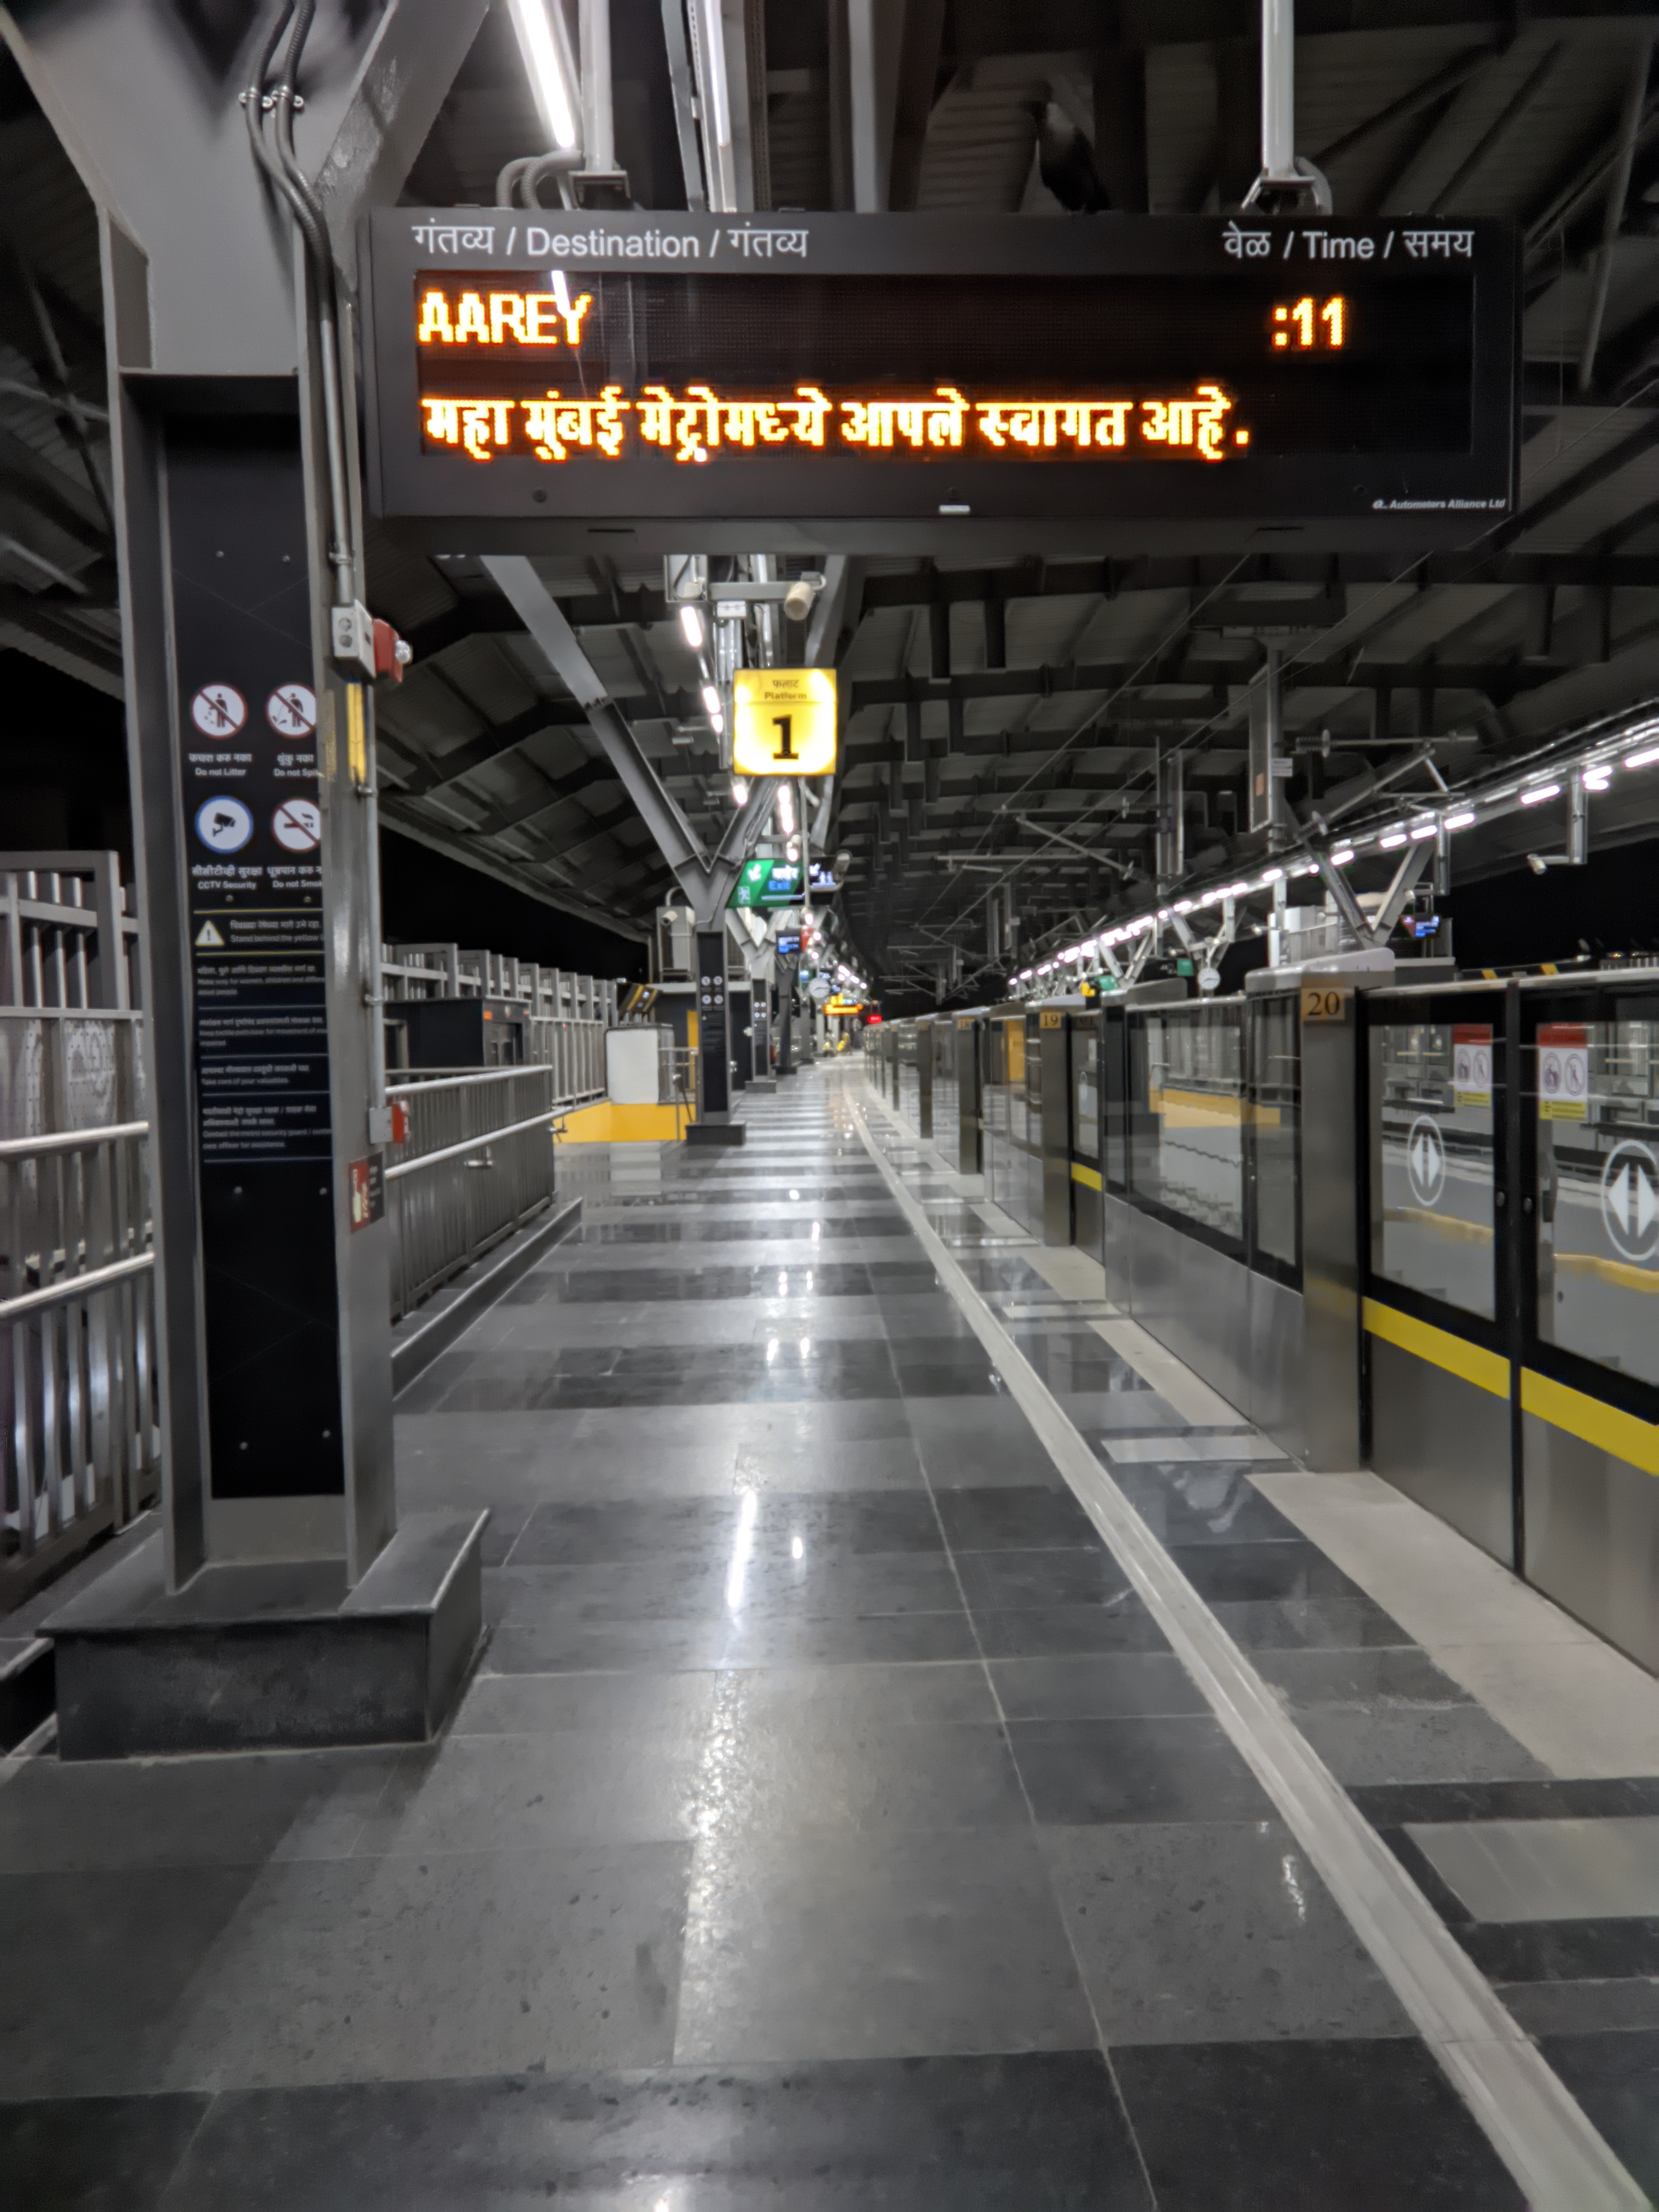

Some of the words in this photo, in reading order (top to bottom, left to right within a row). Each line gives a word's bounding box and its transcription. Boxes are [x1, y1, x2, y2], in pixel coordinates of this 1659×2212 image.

[406, 216, 498, 261] गंतव्य
[516, 223, 703, 263] Destination
[722, 215, 812, 263] गंतव्य
[1215, 221, 1278, 261] वेळ
[1280, 229, 1377, 261] /Time
[1391, 223, 1479, 261] समय
[413, 274, 595, 352] AAREY
[418, 393, 526, 473] महा
[519, 378, 635, 470] मुंबई
[630, 374, 837, 468] मेट्रोमध्ये
[834, 375, 971, 453] आपले
[970, 393, 1141, 454] स्‍वागत
[1134, 375, 1258, 469] आहे.
[771, 671, 802, 692] फलाट
[761, 688, 813, 701] Platform
[187, 748, 218, 767] कचरा
[213, 747, 234, 766] करु
[231, 748, 255, 767] नका
[271, 749, 298, 770] थुंकु
[294, 747, 317, 768] नका
[192, 763, 212, 780] Do
[207, 766, 227, 779] not
[219, 765, 250, 779] Litter
[273, 765, 290, 779] Do
[284, 766, 302, 781] not
[187, 859, 239, 879] सीसीटीव्ही
[236, 863, 266, 881] सुरक्षा
[266, 861, 298, 881] धूम्रपान
[296, 863, 316, 878] करु
[194, 878, 224, 894] CCTV
[217, 877, 260, 893] Security
[269, 877, 288, 891] Do
[283, 877, 302, 891] not
[227, 914, 258, 934] पिवळ्या
[278, 917, 298, 931] मागे
[295, 915, 309, 931] उभे
[305, 916, 322, 930] रहा,
[228, 930, 255, 944] Stand
[252, 932, 283, 946] behind
[278, 930, 296, 945] the
[294, 932, 321, 946] yellow